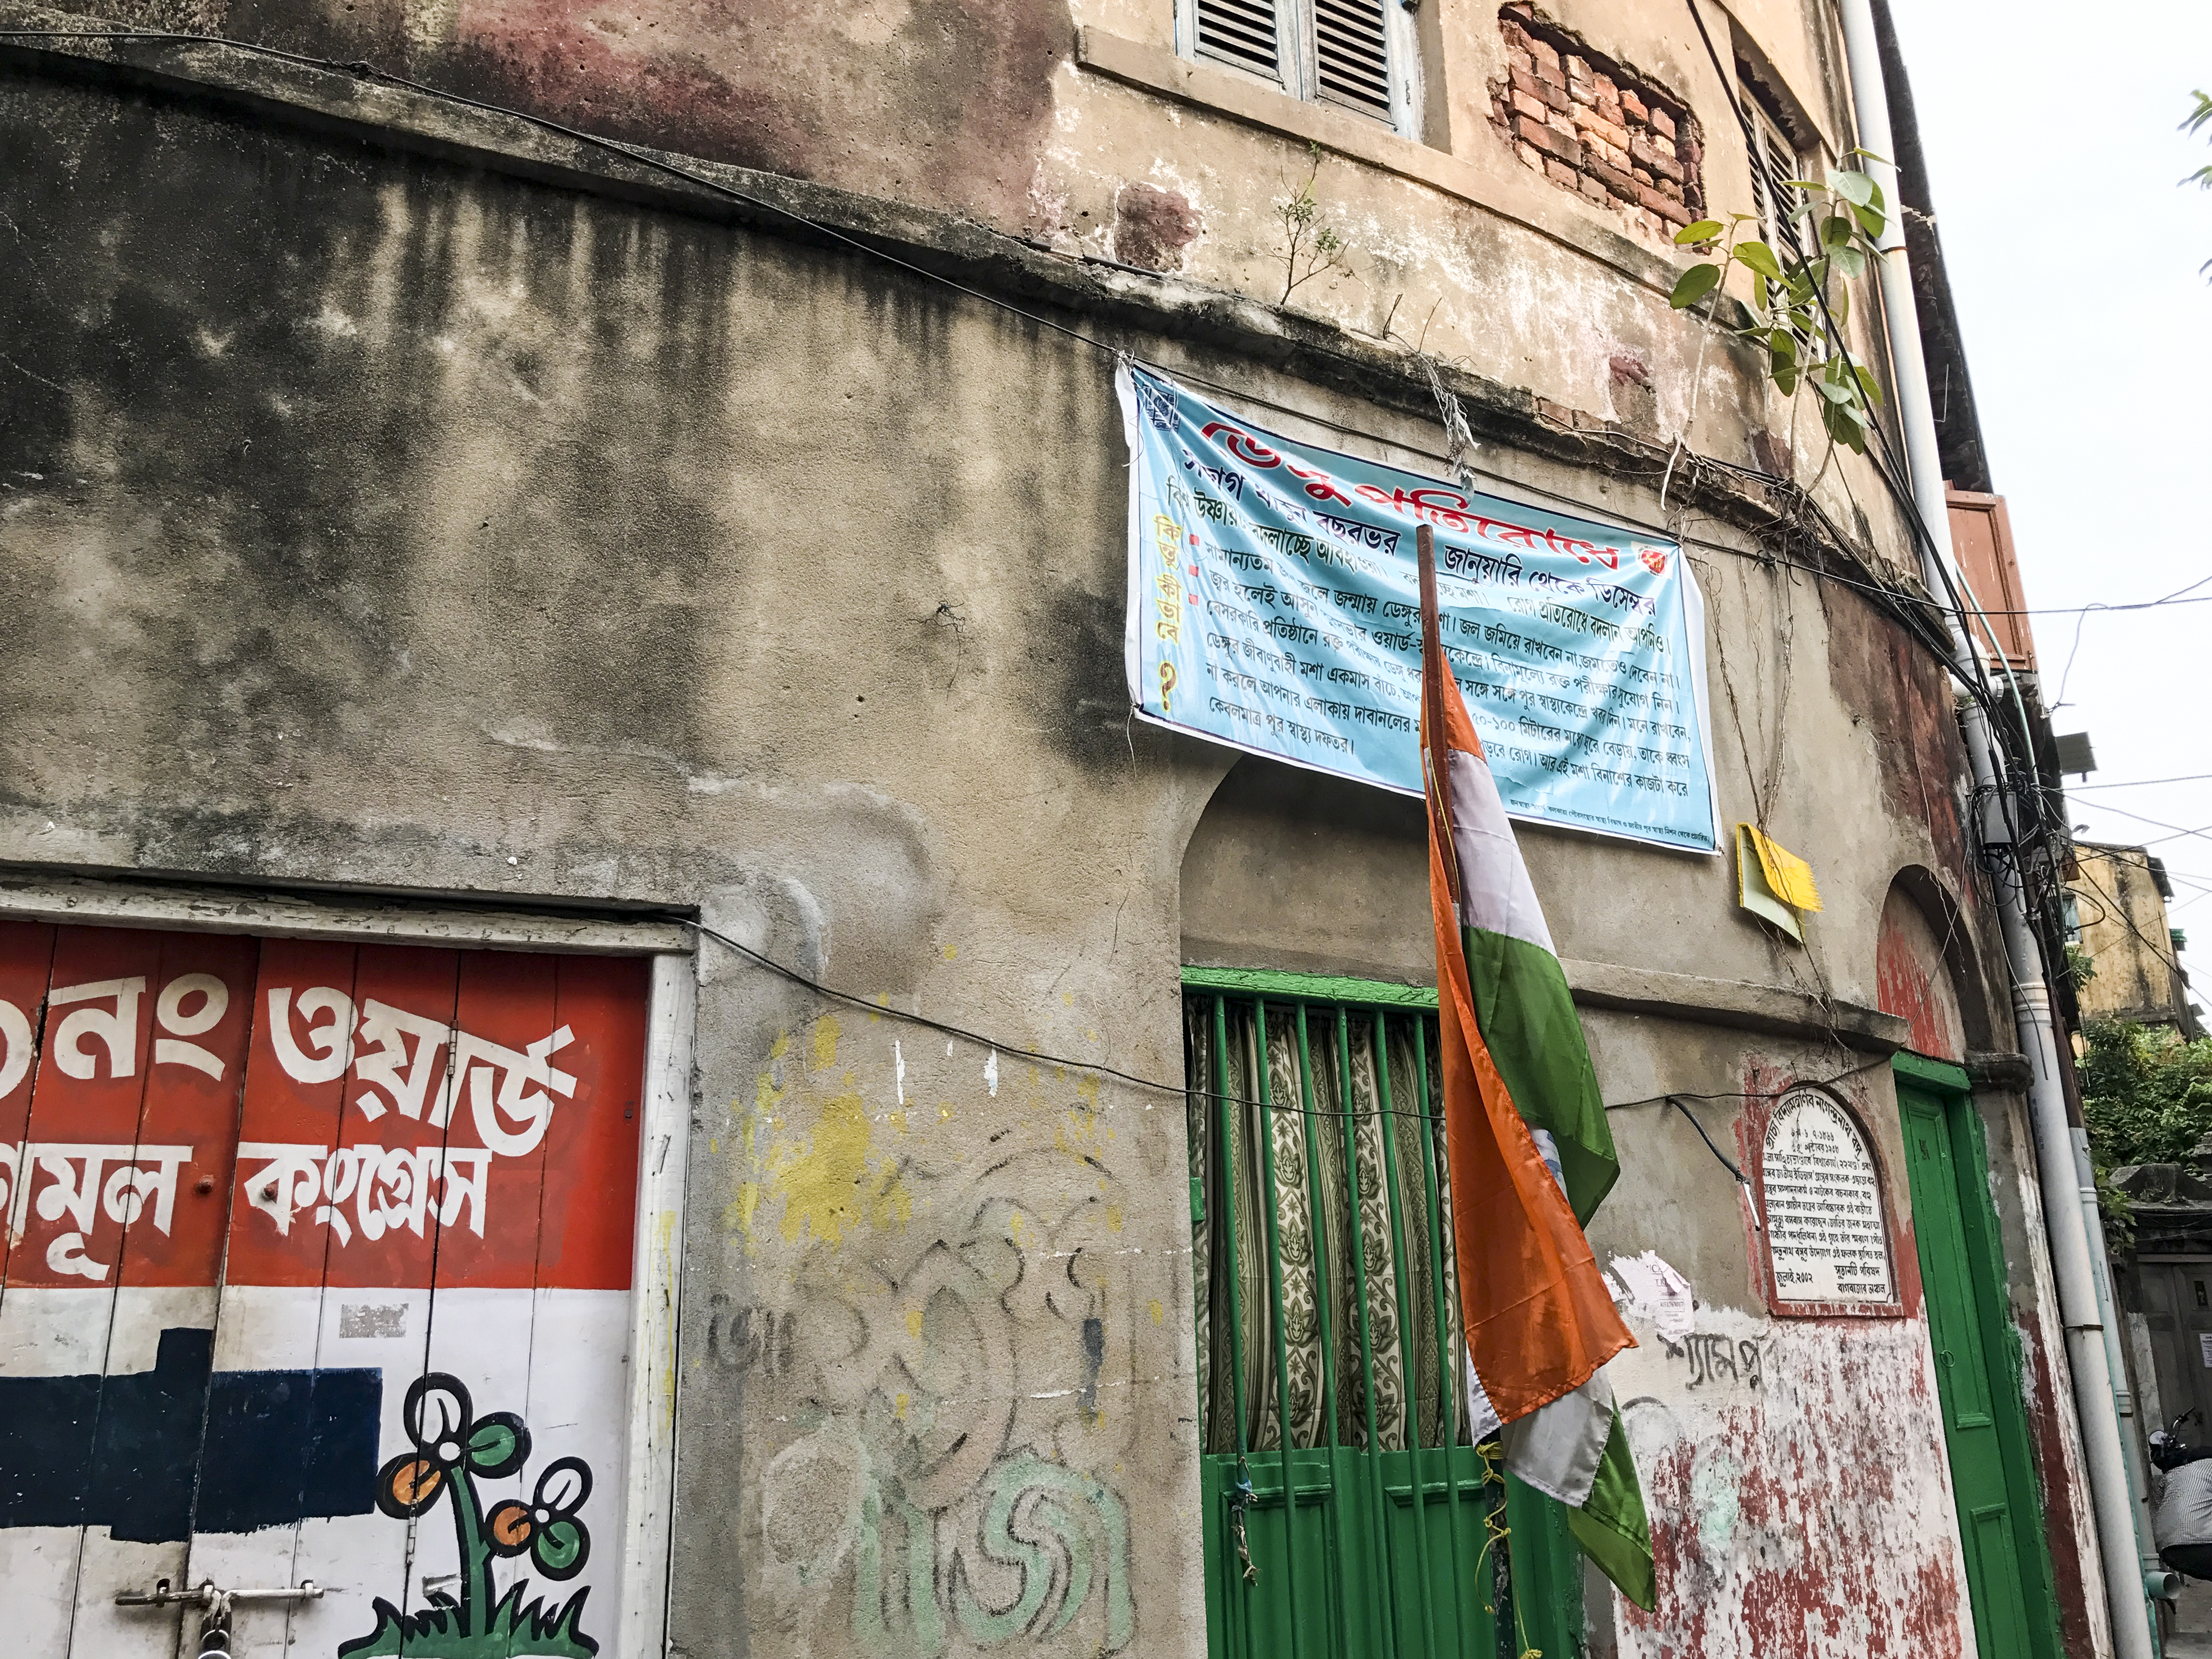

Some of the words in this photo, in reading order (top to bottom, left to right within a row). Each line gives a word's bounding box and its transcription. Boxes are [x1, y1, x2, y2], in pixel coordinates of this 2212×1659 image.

[1254, 479, 1313, 528] থাকুন
[1310, 505, 1405, 556] বছরভর
[1346, 479, 1627, 572] পতিরোধে
[1200, 543, 1277, 578] সামান্যতম
[1312, 535, 1392, 581] আবহাওয়া।
[1439, 538, 1527, 593] জানুয়ারি
[1201, 660, 1223, 685] না
[1205, 630, 1243, 664] ডেঙ্গুর
[1206, 594, 1266, 634] বেসরকারি
[1208, 693, 1264, 730] কেবলমাত্র
[1218, 666, 1262, 695] করলে
[1206, 567, 1280, 610] জ্বরহলেই
[1237, 634, 1300, 678] জীবাণুবাহী
[1260, 710, 1287, 741] পুর
[1259, 677, 1304, 709] আপনার
[1260, 613, 1321, 647] প্রতিষ্ঠানে
[1276, 583, 1320, 622] আসুন
[1286, 717, 1315, 749] স্বাস্থ্য
[1294, 657, 1328, 683] মশা
[1301, 693, 1353, 728] এলাকায়
[1310, 727, 1350, 754] দফতর
[1312, 625, 1349, 654] রক্ত
[1322, 664, 1374, 691] একমাস
[1329, 585, 1384, 618] জন্মায়
[1342, 638, 1384, 671] পরীক্ষায়
[1352, 703, 1416, 735] দাবানলের
[1372, 676, 1402, 701] বাচে,
[1372, 626, 1415, 653] ওয়ার্ড
[1381, 658, 1410, 687] ডেঙ্গু
[1379, 597, 1428, 632] ডেঙ্গুর
[1454, 617, 1483, 643] জল
[1461, 678, 1492, 701] সঙ্গে
[1473, 737, 1509, 763] পড়বে
[1469, 709, 1518, 736] ৫০-১০০
[1481, 621, 1525, 653] জমিয়ে
[1487, 680, 1523, 708] সঙ্গে
[1484, 648, 1548, 688] বিনামূল্যে
[1507, 743, 1537, 767] রোগ
[1516, 685, 1540, 715] পুর
[1511, 710, 1564, 743] মিটারের
[1518, 634, 1567, 666] রাখবেন
[1506, 590, 1592, 639] রোগ প্রতিরোধে
[1521, 566, 1587, 603] থেকে
[1537, 751, 1573, 779] আরএই
[1546, 667, 1574, 692] রক্ত
[1536, 692, 1593, 723] স্বাস্থ্যকেন্দ্র
[1568, 759, 1592, 782] মশা
[1562, 724, 1603, 761] মধ্যে ঘুরে
[1571, 672, 1623, 701] পরীক্ষার
[1563, 646, 1632, 679] না, জমতেও
[1587, 610, 1624, 646] বদলান
[1586, 703, 1625, 728] খবর দিন।
[1586, 759, 1634, 787] বিনাশের
[1597, 738, 1640, 764] বেড়ায়,
[1580, 571, 1658, 622] ডিসেম্বর
[1614, 681, 1654, 711] দুযোগ
[1624, 714, 1652, 734] মনে
[1619, 618, 1671, 659] আপনিও৷
[1635, 745, 1665, 767] তাকে
[1633, 771, 1667, 795] কাজটা
[1625, 658, 1683, 691] দেবেন না।
[1647, 690, 1680, 716] নিন
[1649, 719, 1692, 744] রাখবেন,
[1661, 747, 1692, 771] ধ্বংস
[1663, 775, 1692, 800] করে
[1658, 822, 1680, 839] বিশন
[1677, 828, 1711, 845] থেকে প্রচারিত।
[0, 960, 234, 1096] নং
[257, 979, 592, 1164] ওয়ার্ড
[232, 1134, 498, 1249] কংগ্রেস
[6, 1138, 205, 1286] মূল